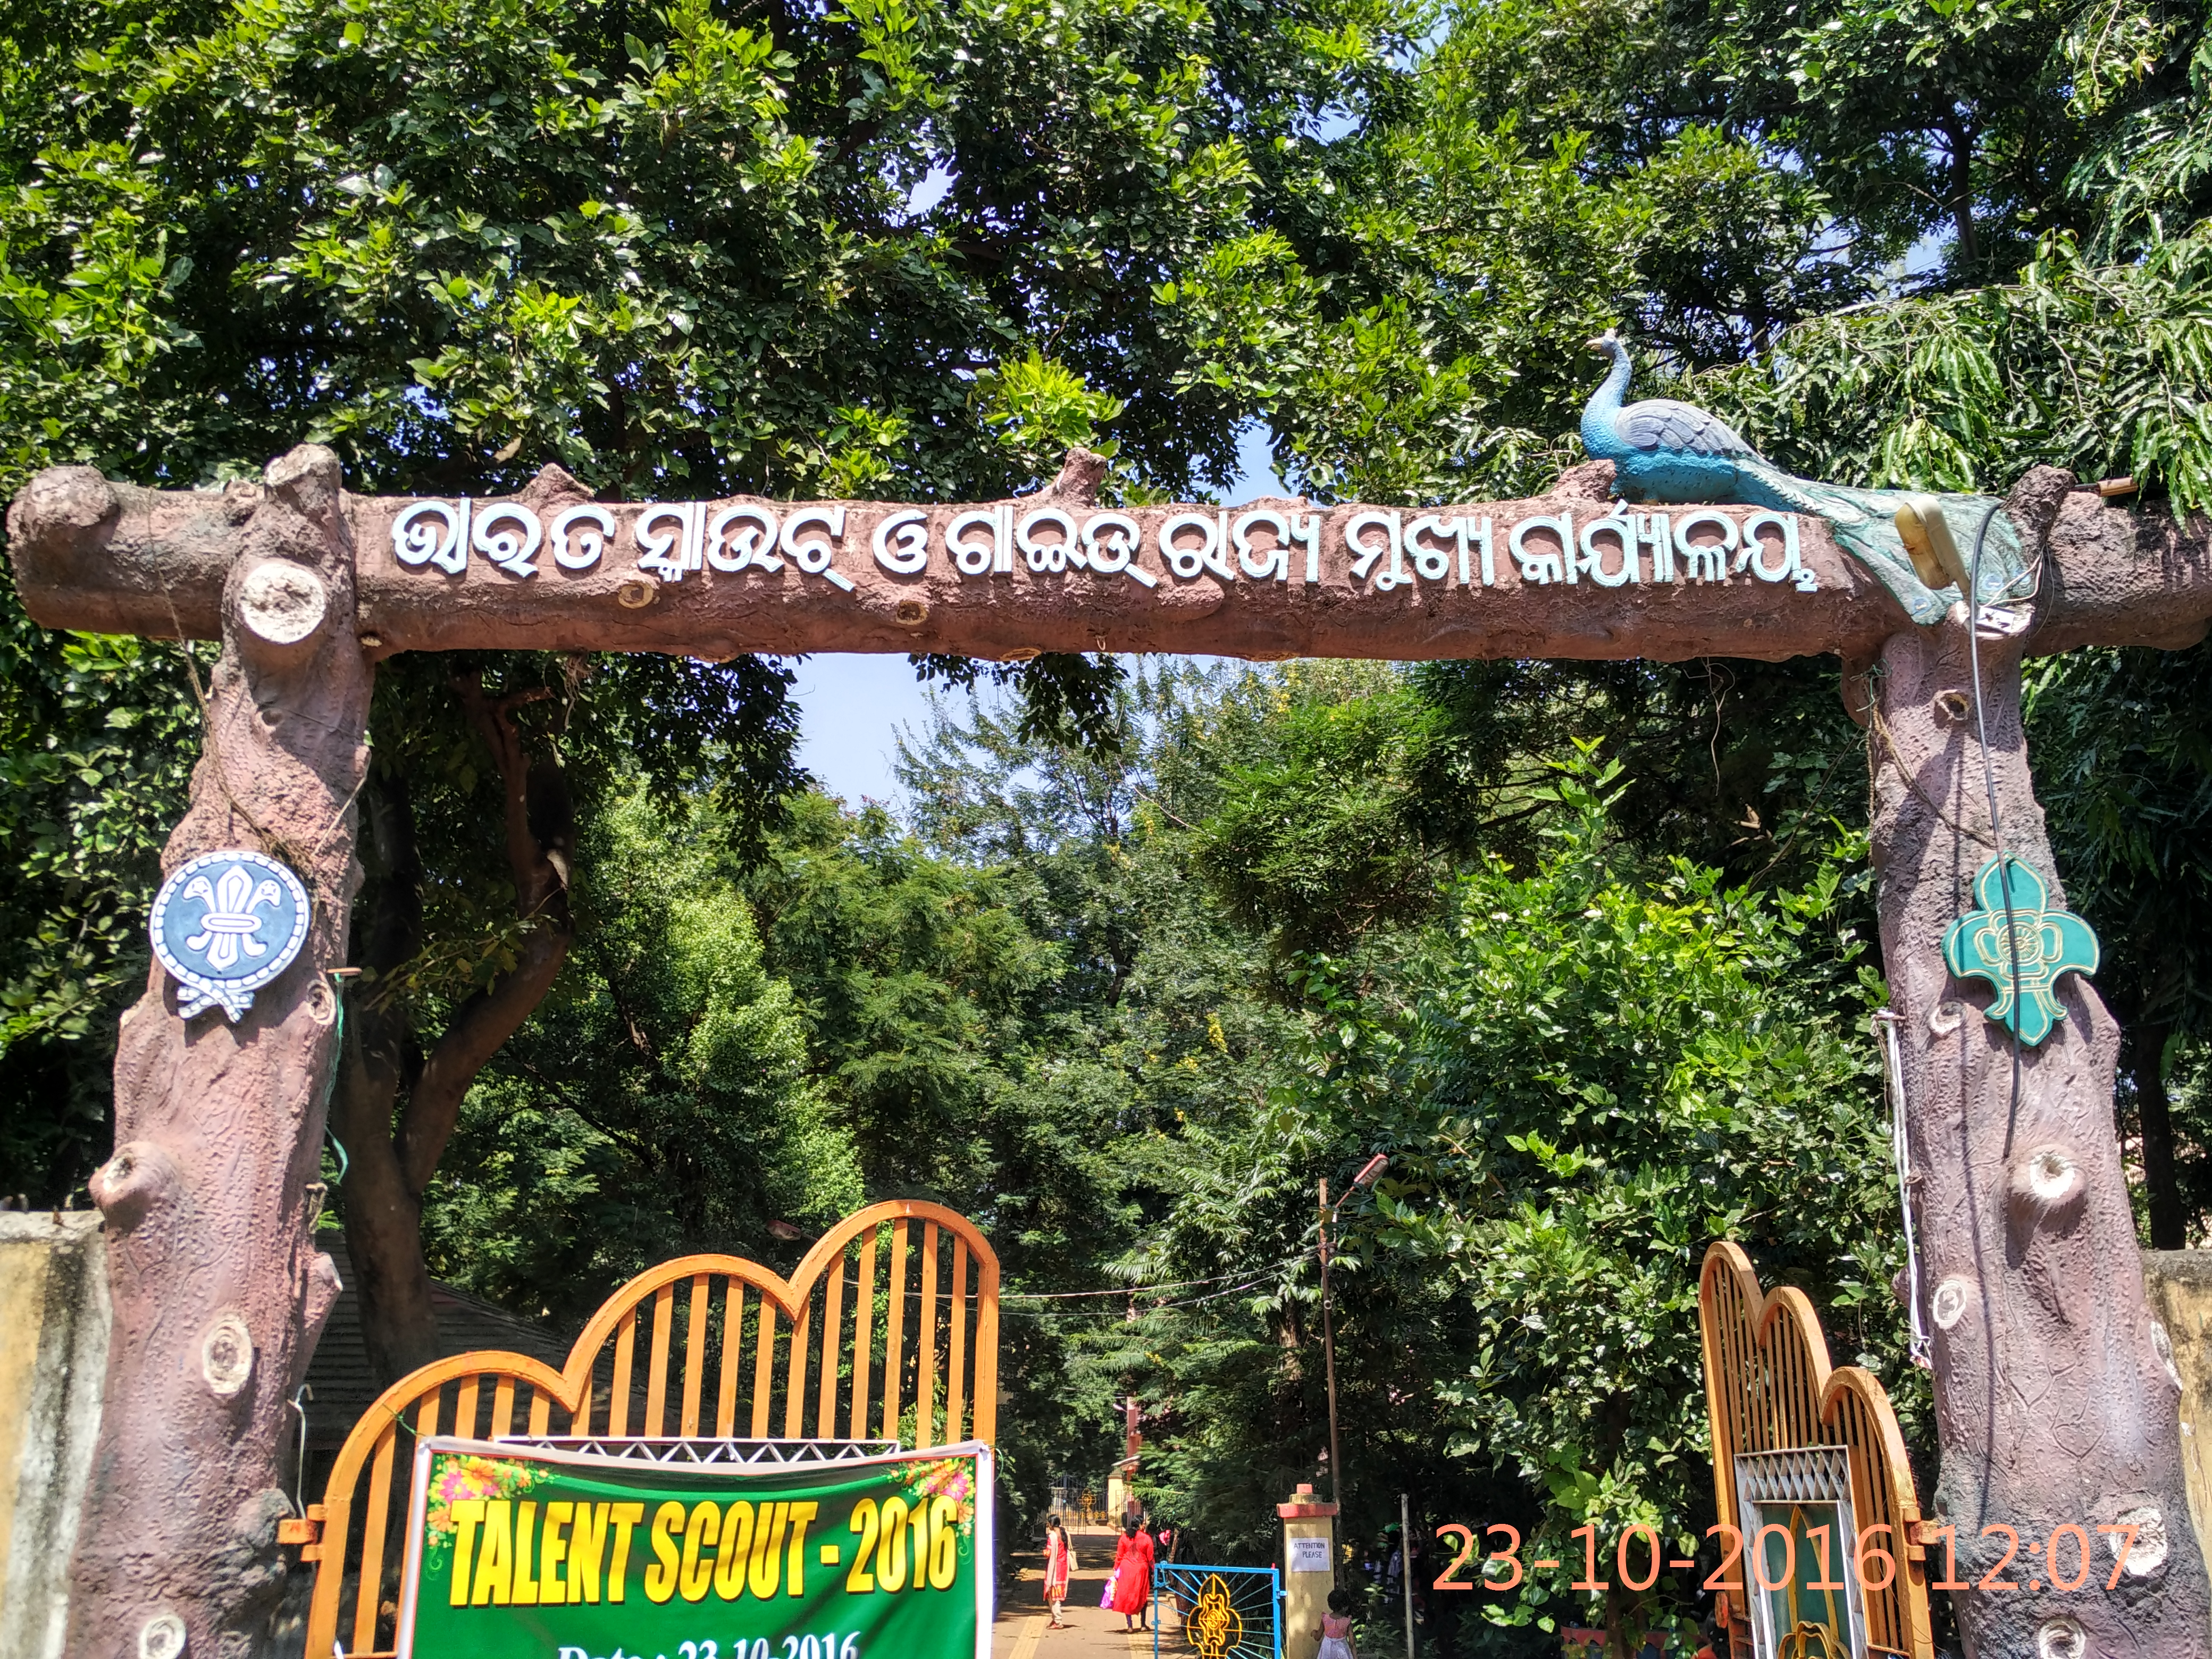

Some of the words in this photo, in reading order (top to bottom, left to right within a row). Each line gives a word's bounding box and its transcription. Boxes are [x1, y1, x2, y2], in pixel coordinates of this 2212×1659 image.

[385, 490, 861, 594] ଭାରତ ସ୍କାଉଟ୍
[863, 496, 1324, 590] ଓ ଗଇଡ୍ ରାଜ୍ୟ
[1338, 502, 1500, 594] ମୁଖ୍ୟ
[1502, 492, 1821, 600] କାର୍ଯ୍ୟାଳୟ
[633, 1488, 820, 1612] SCOUT
[832, 1483, 975, 1605] 2016
[1425, 1506, 1539, 1607] 23
[1565, 1492, 1674, 1610] 10
[1696, 1517, 2144, 1596] 201612:07